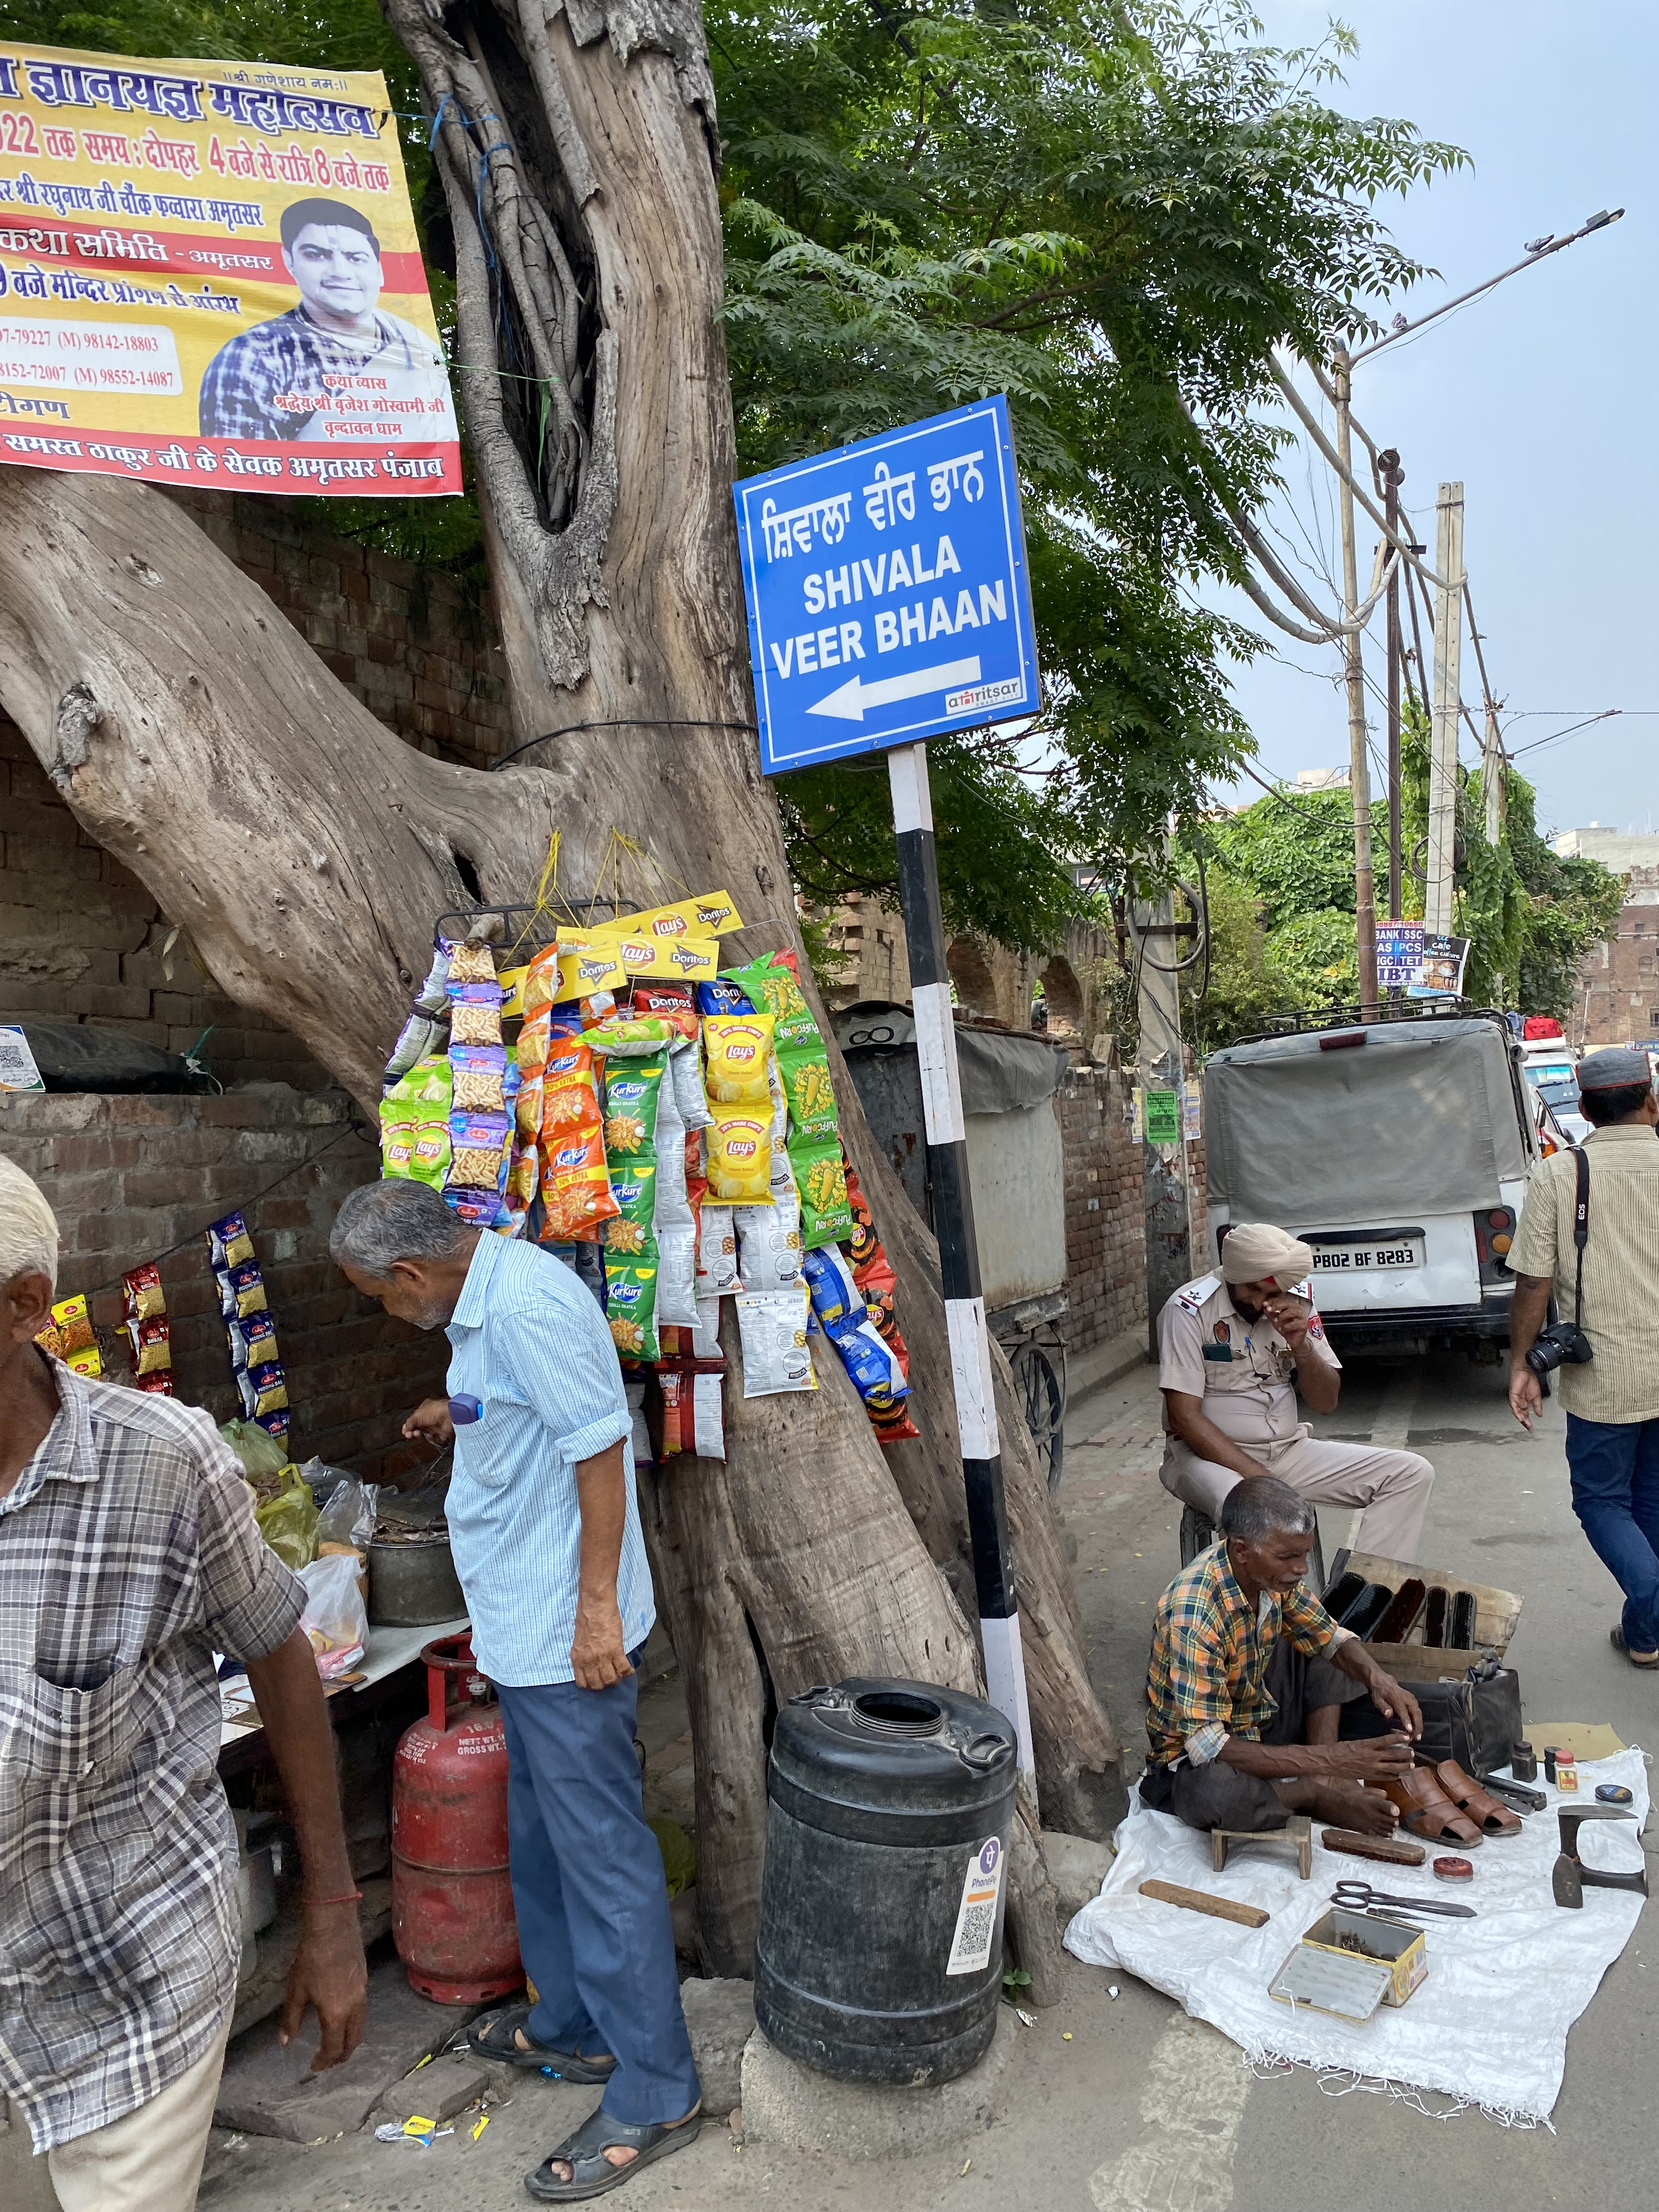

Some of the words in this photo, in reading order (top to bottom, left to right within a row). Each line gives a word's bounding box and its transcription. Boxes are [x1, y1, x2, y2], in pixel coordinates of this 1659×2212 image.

[21, 55, 212, 126] ज्ञानयज्ञ
[251, 66, 309, 91] गणेशाय
[307, 74, 342, 97] नमः
[206, 78, 384, 143] महोत्सव
[1, 111, 44, 158] 22
[14, 167, 41, 210] श्री
[40, 125, 82, 162] तक
[38, 178, 98, 218] रघुनाथ
[78, 128, 136, 171] समय
[93, 179, 122, 217] जी
[116, 178, 156, 219] चौंक
[139, 127, 207, 182] दोपहर
[151, 192, 206, 224] फव्वारा
[206, 131, 229, 179] 4
[206, 196, 270, 235] अमृतसर
[225, 136, 262, 183] बजे
[254, 138, 279, 185] सेे
[274, 140, 319, 189] रात्रि
[311, 143, 334, 188] 8
[330, 148, 366, 195] बजे
[358, 160, 397, 196] तक
[1, 225, 71, 261] कथा
[71, 224, 173, 268] समिति
[188, 248, 280, 274] अमृतसर
[6, 261, 52, 311] बजे
[46, 265, 111, 304] मन्दिर
[163, 280, 191, 310] स‍े
[186, 276, 252, 318] आंरभ
[12, 327, 54, 351] 79227
[58, 329, 80, 352] (M)
[81, 332, 161, 358] 98142-18803
[2, 359, 27, 380] 152
[29, 363, 68, 387] 72007
[74, 365, 96, 387] (M)
[98, 365, 174, 392] 98552-14087
[319, 370, 355, 394] कथा
[354, 373, 390, 394] व्यास
[271, 388, 315, 417] श्रद्धेय
[313, 391, 335, 413] श्री
[334, 392, 370, 416] बृजेश
[369, 391, 428, 417] गोस्वामी
[425, 394, 452, 416] जी
[2, 429, 88, 462] समस्त
[83, 436, 155, 473] ठाकुर
[153, 439, 197, 476] जी
[190, 440, 221, 478] के
[218, 443, 286, 479] सेवक
[285, 452, 381, 487] अमृतसर
[319, 420, 375, 441] वृन्दावन
[375, 418, 405, 438] धाम
[377, 448, 449, 484] पंजाब
[859, 457, 922, 535] ਵੀਰ
[919, 443, 998, 520] ਭਾਨ
[751, 481, 861, 572] ਸ਼ਿਵਾਲਾ
[794, 529, 972, 617] SHIVALA
[866, 572, 1009, 668] BHAAN
[764, 609, 873, 687] VEER
[946, 678, 1022, 709] amritsar
[577, 957, 620, 979] Doritos
[621, 939, 656, 965] Lay
[668, 949, 714, 969] Doritos
[1376, 940, 1396, 955] AS
[1374, 928, 1402, 941] BANK
[1378, 966, 1418, 981] IBT
[1398, 940, 1423, 956] PCS
[1398, 954, 1423, 967] TET
[1402, 928, 1424, 941] SSC
[1431, 940, 1454, 951] cafe
[727, 1043, 756, 1062] Lay
[607, 1081, 650, 1099] Kurkure
[726, 1141, 755, 1161] Lays
[1311, 1248, 1350, 1276] PB02
[1350, 1246, 1375, 1268] BF
[1372, 1245, 1416, 1266] 8283
[607, 1280, 646, 1301] Kurkure